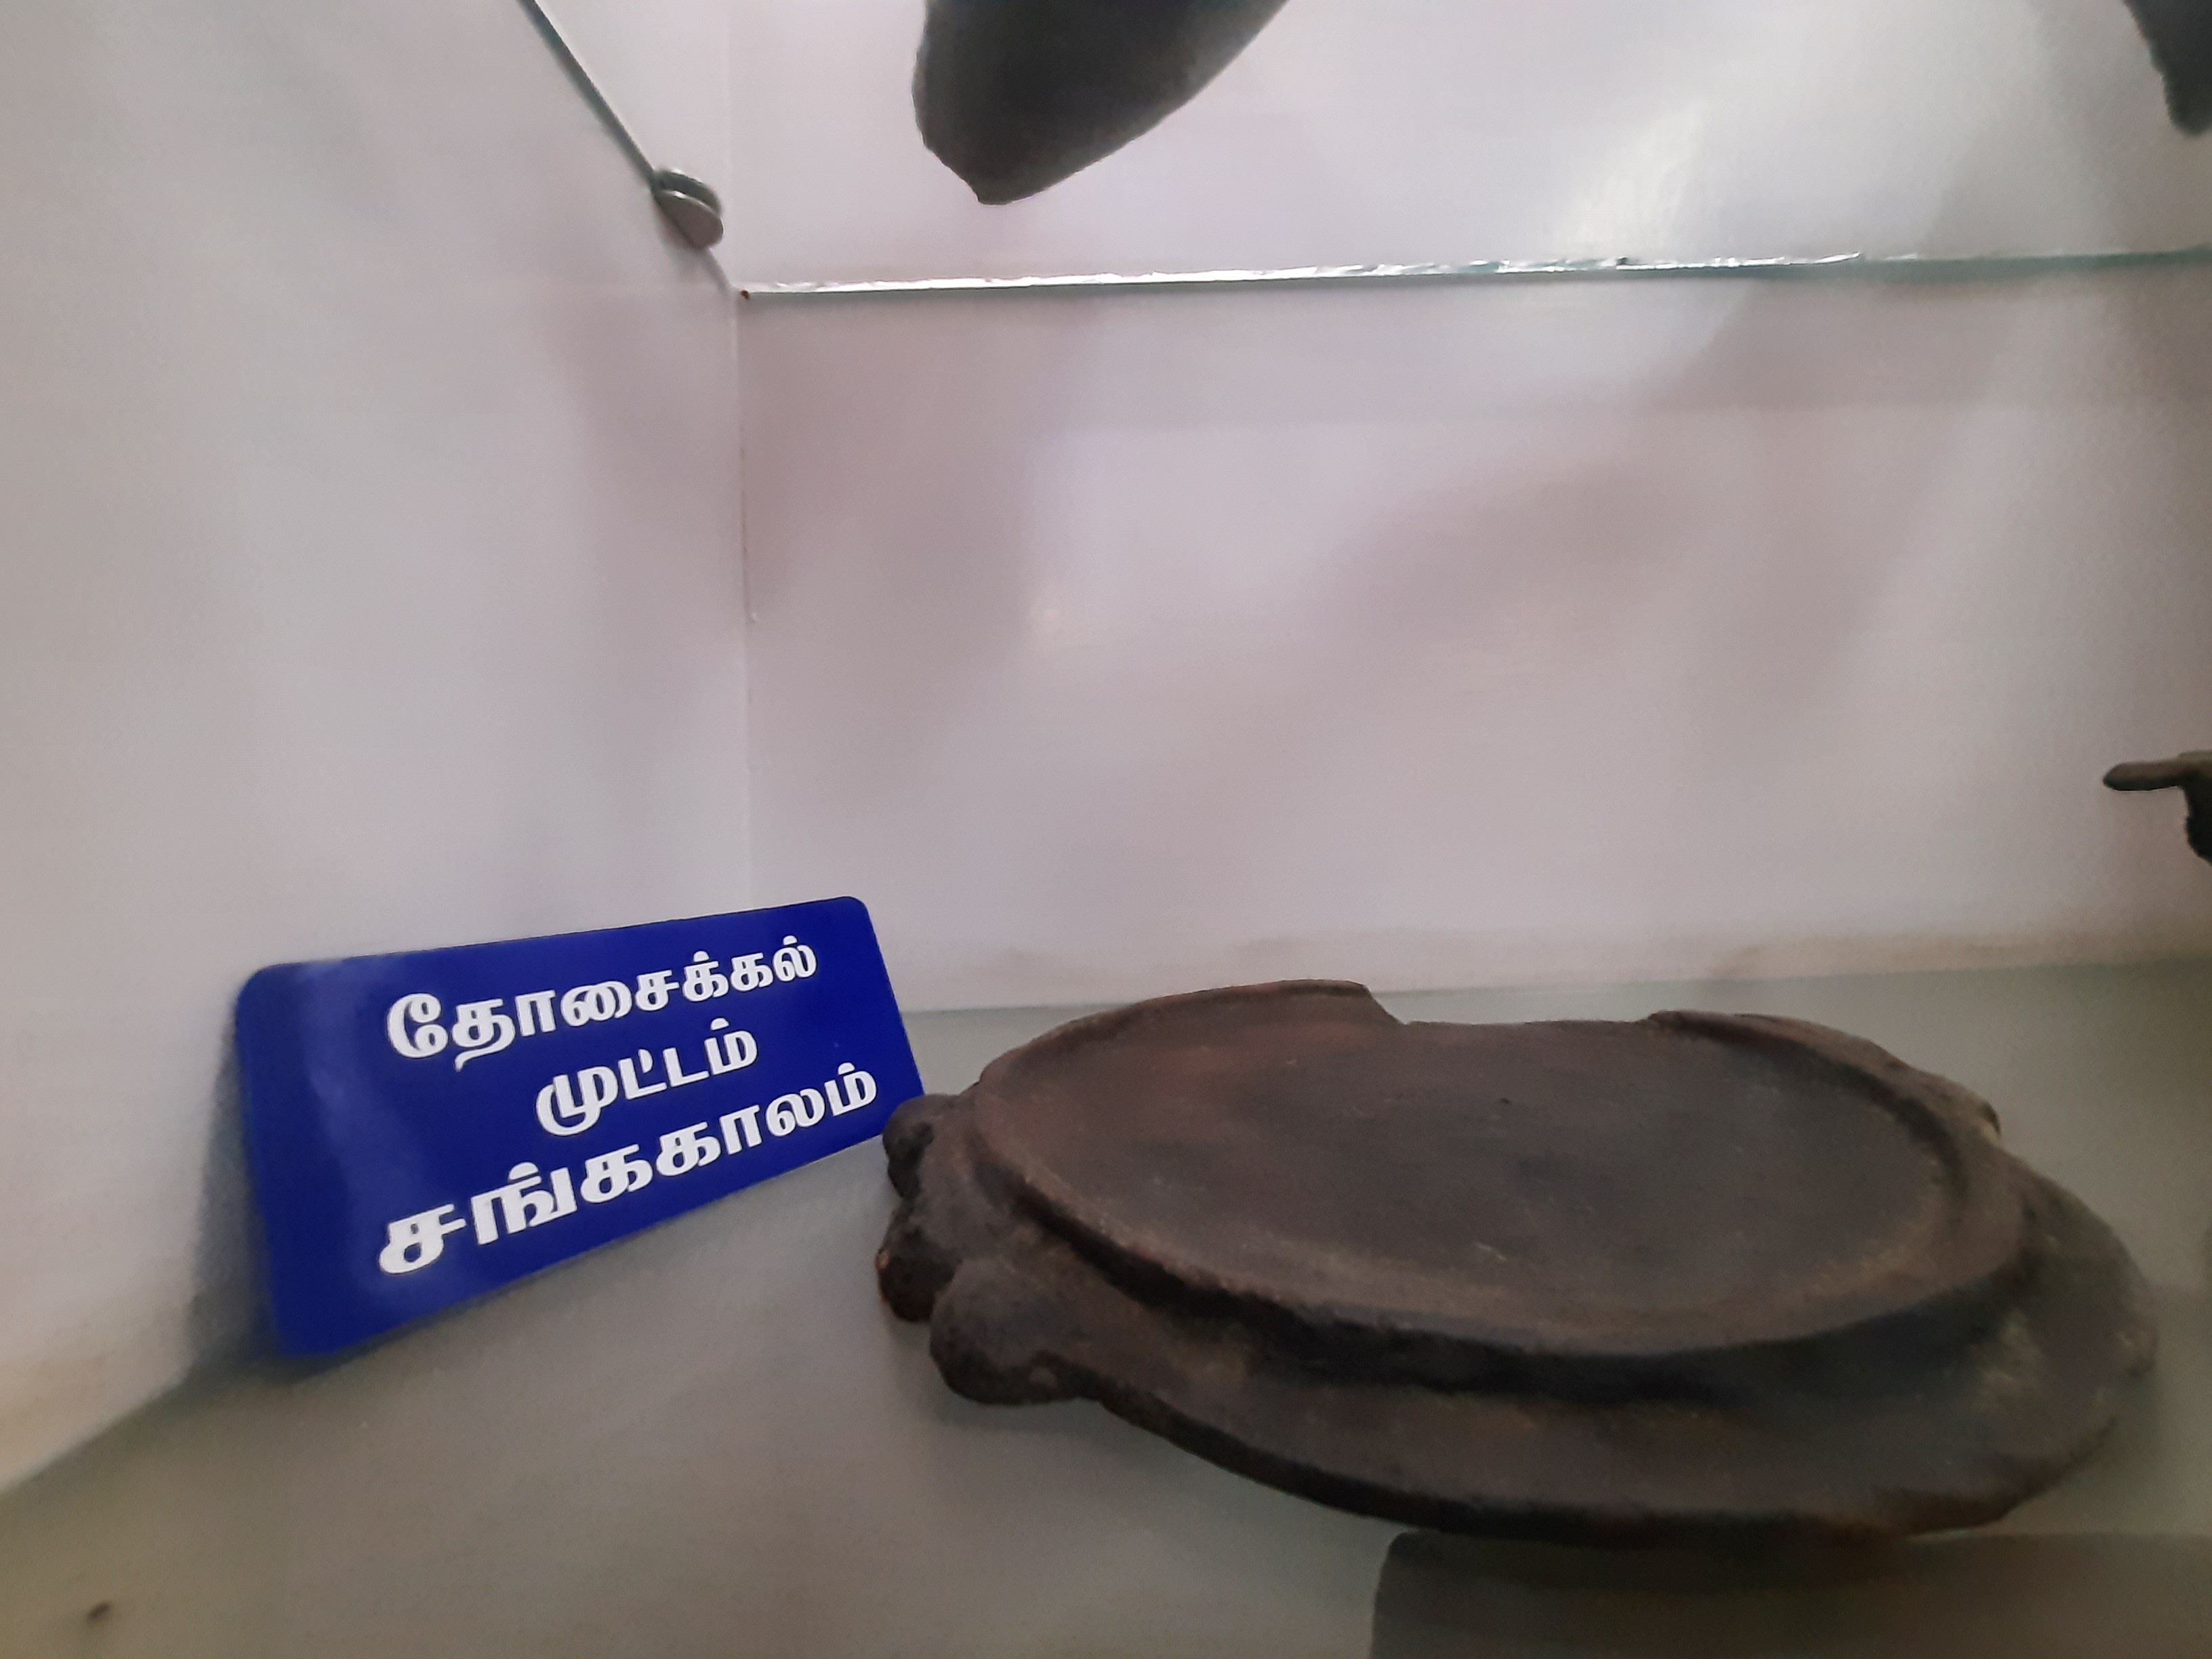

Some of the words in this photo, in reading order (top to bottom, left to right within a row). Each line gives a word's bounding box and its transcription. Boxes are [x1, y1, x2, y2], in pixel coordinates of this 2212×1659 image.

[380, 932, 819, 1073] தோசைக்கல்
[530, 1015, 762, 1142] முட்டம்
[367, 1057, 882, 1284] சங்ககாலம்